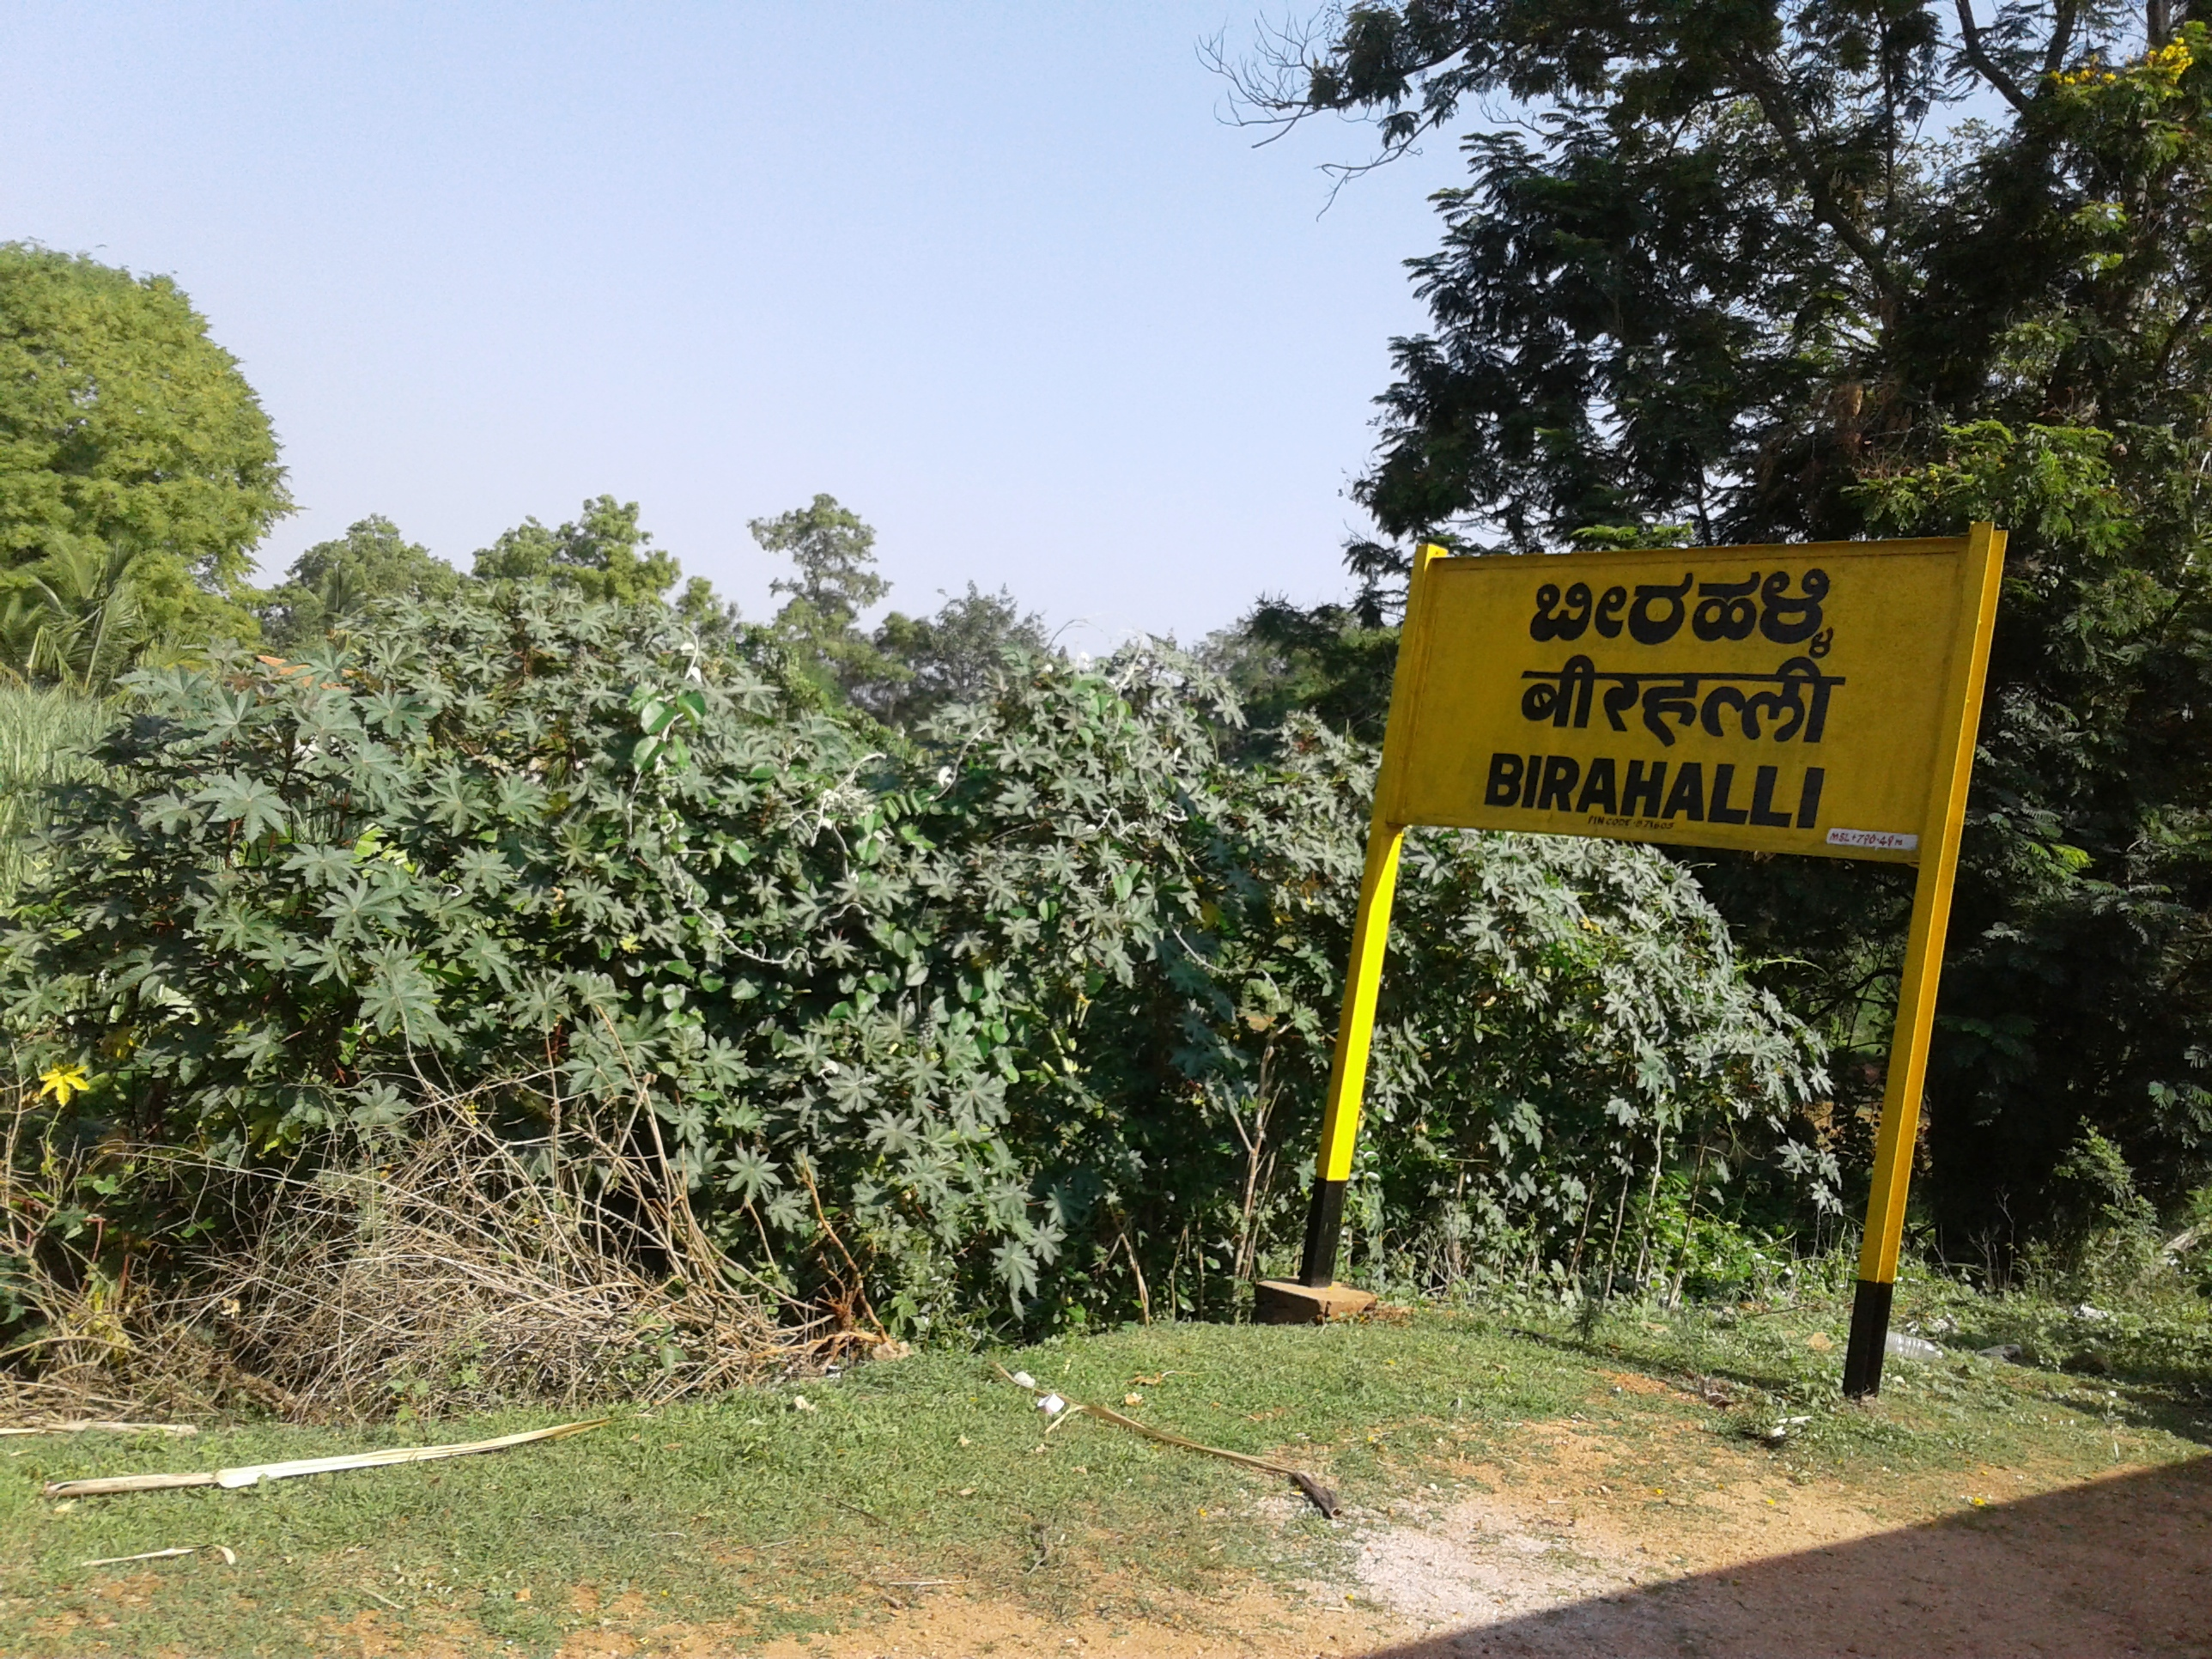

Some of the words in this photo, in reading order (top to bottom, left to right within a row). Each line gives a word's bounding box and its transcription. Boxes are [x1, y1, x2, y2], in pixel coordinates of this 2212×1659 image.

[1522, 561, 1838, 662] ಬೀರಹಳ್ಳಿ
[1514, 645, 1849, 749] बीरहल्ली
[1581, 813, 1632, 830] PINCODE
[1477, 745, 1829, 832] BIRAHALLI
[1627, 815, 1679, 832] 871605
[1820, 825, 1907, 851] MSL+790.49M